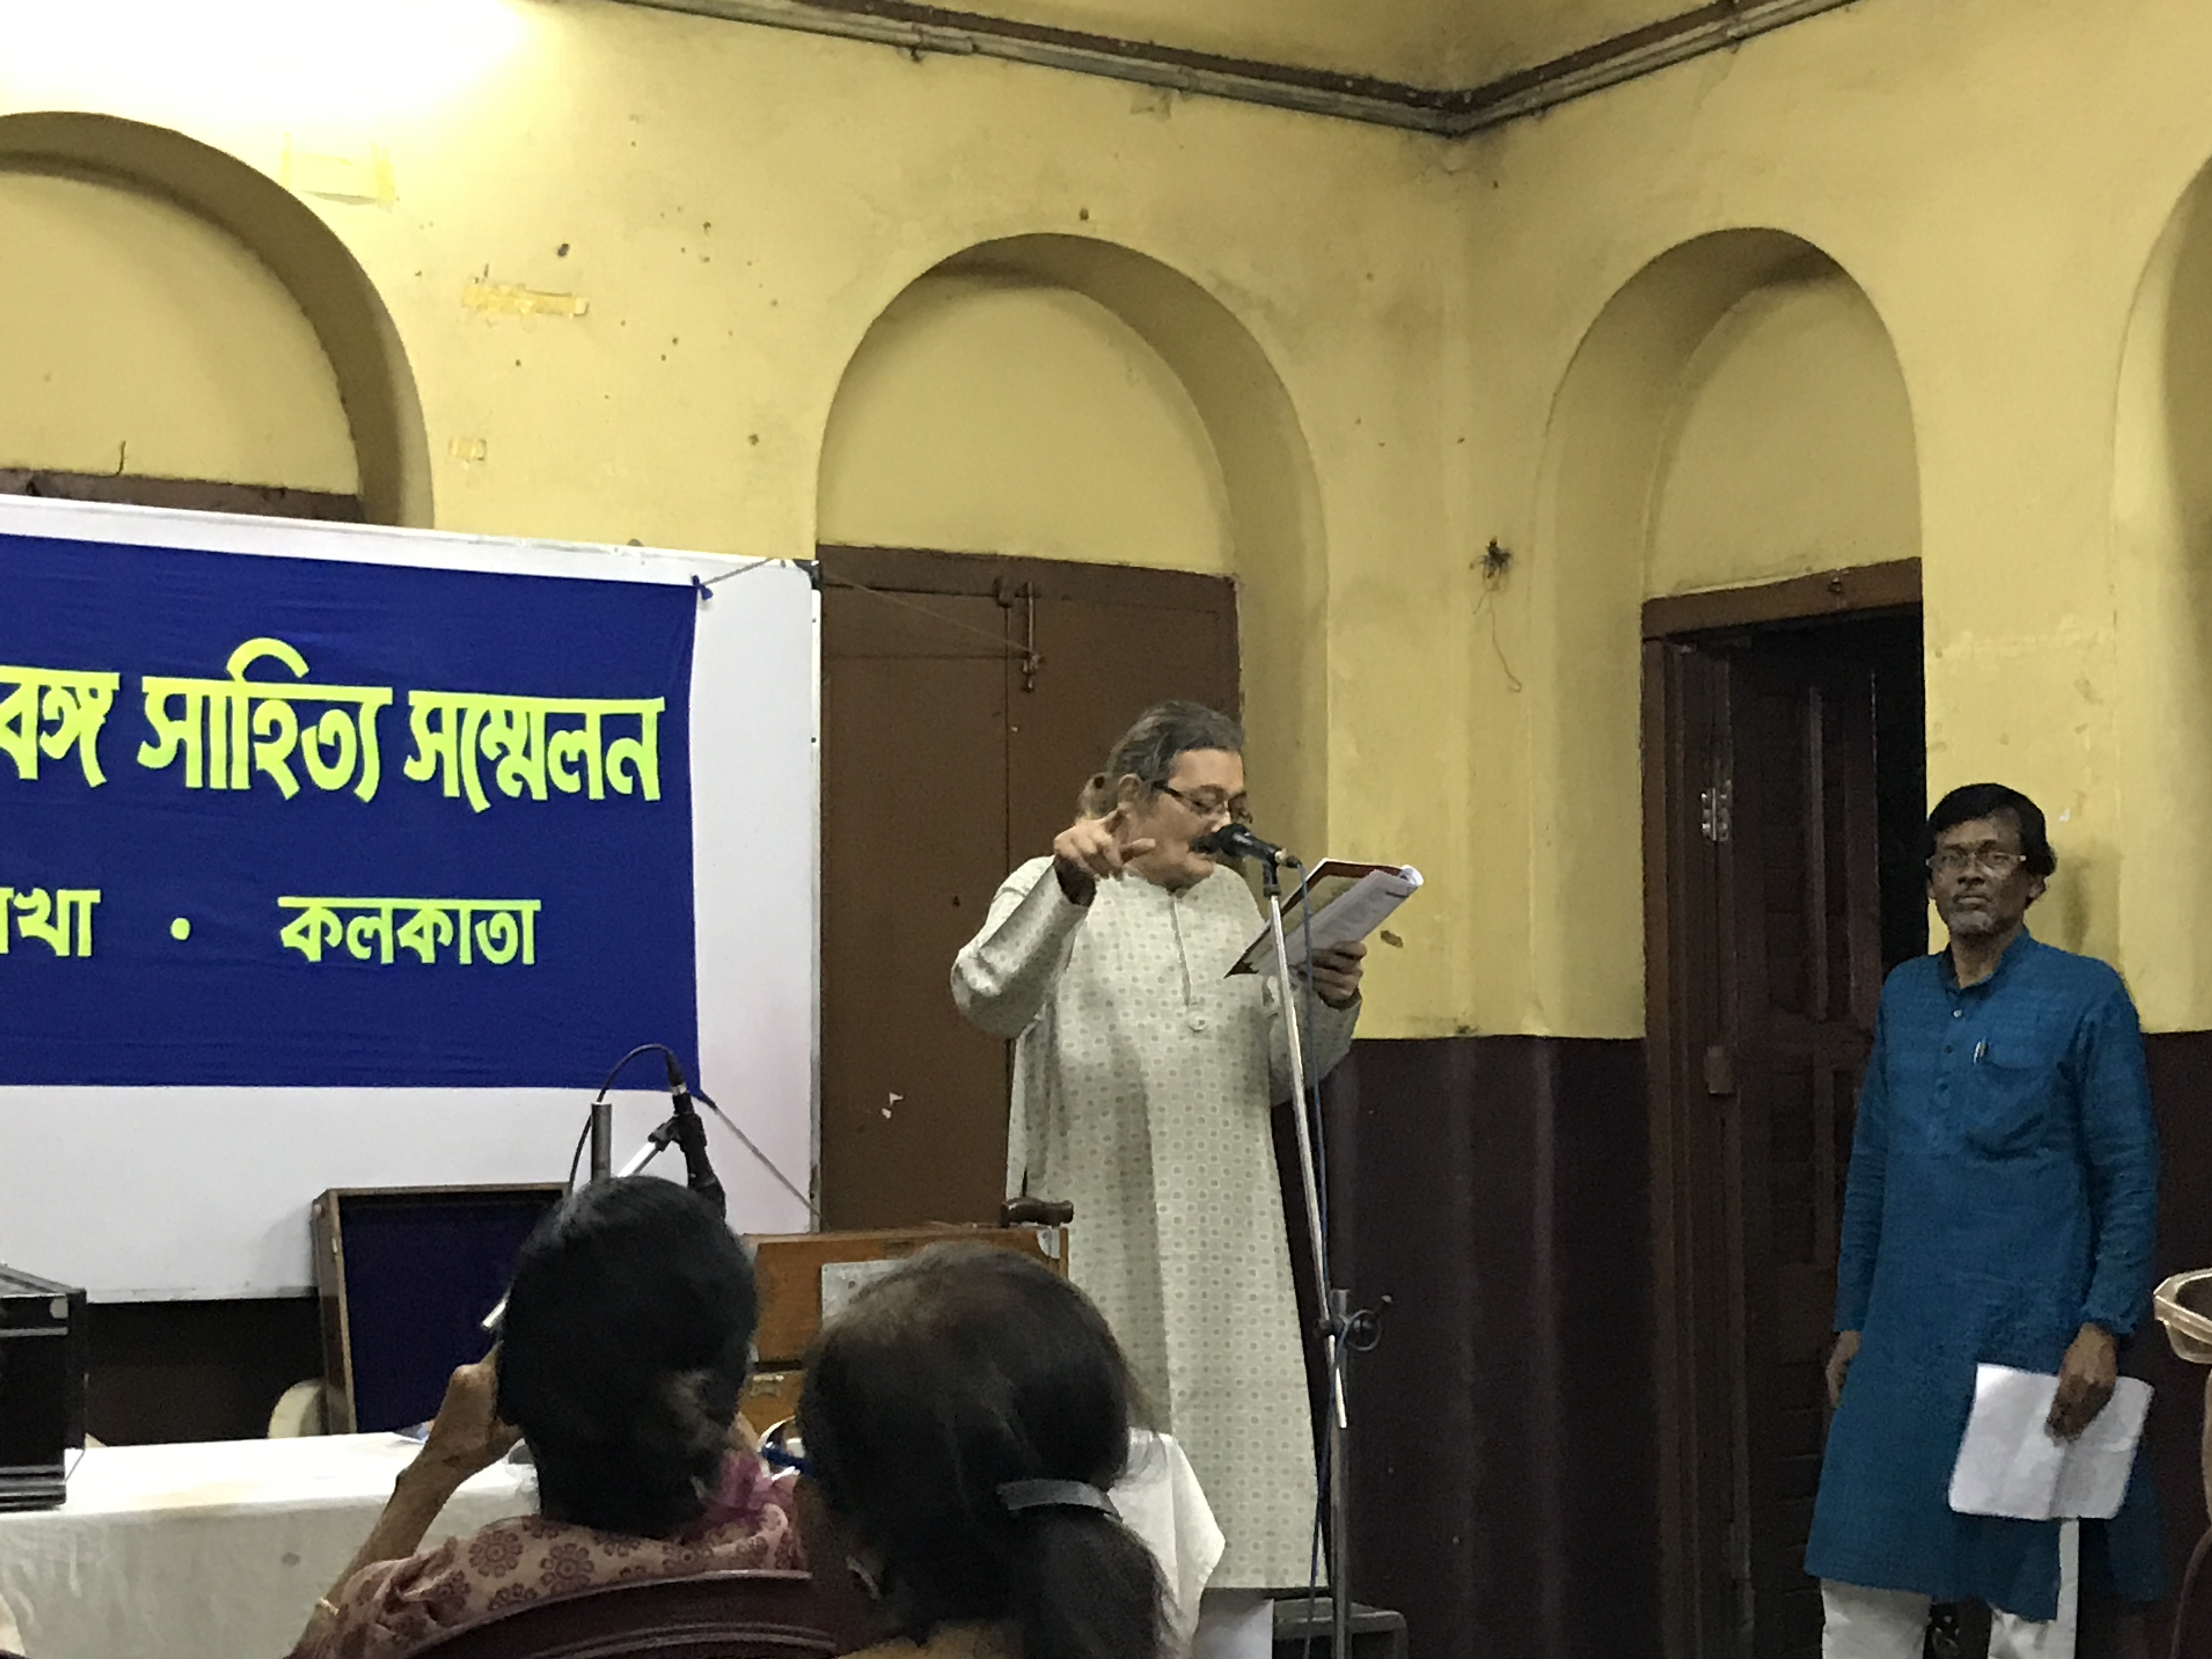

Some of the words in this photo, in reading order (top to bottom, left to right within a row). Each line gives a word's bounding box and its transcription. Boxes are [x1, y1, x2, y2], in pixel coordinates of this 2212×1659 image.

[0, 654, 129, 798] বঙ্গ
[133, 618, 408, 813] সাহিত্য
[397, 684, 669, 825] সম্মেলন
[0, 872, 107, 972] খা
[274, 884, 550, 974] কলকাতা